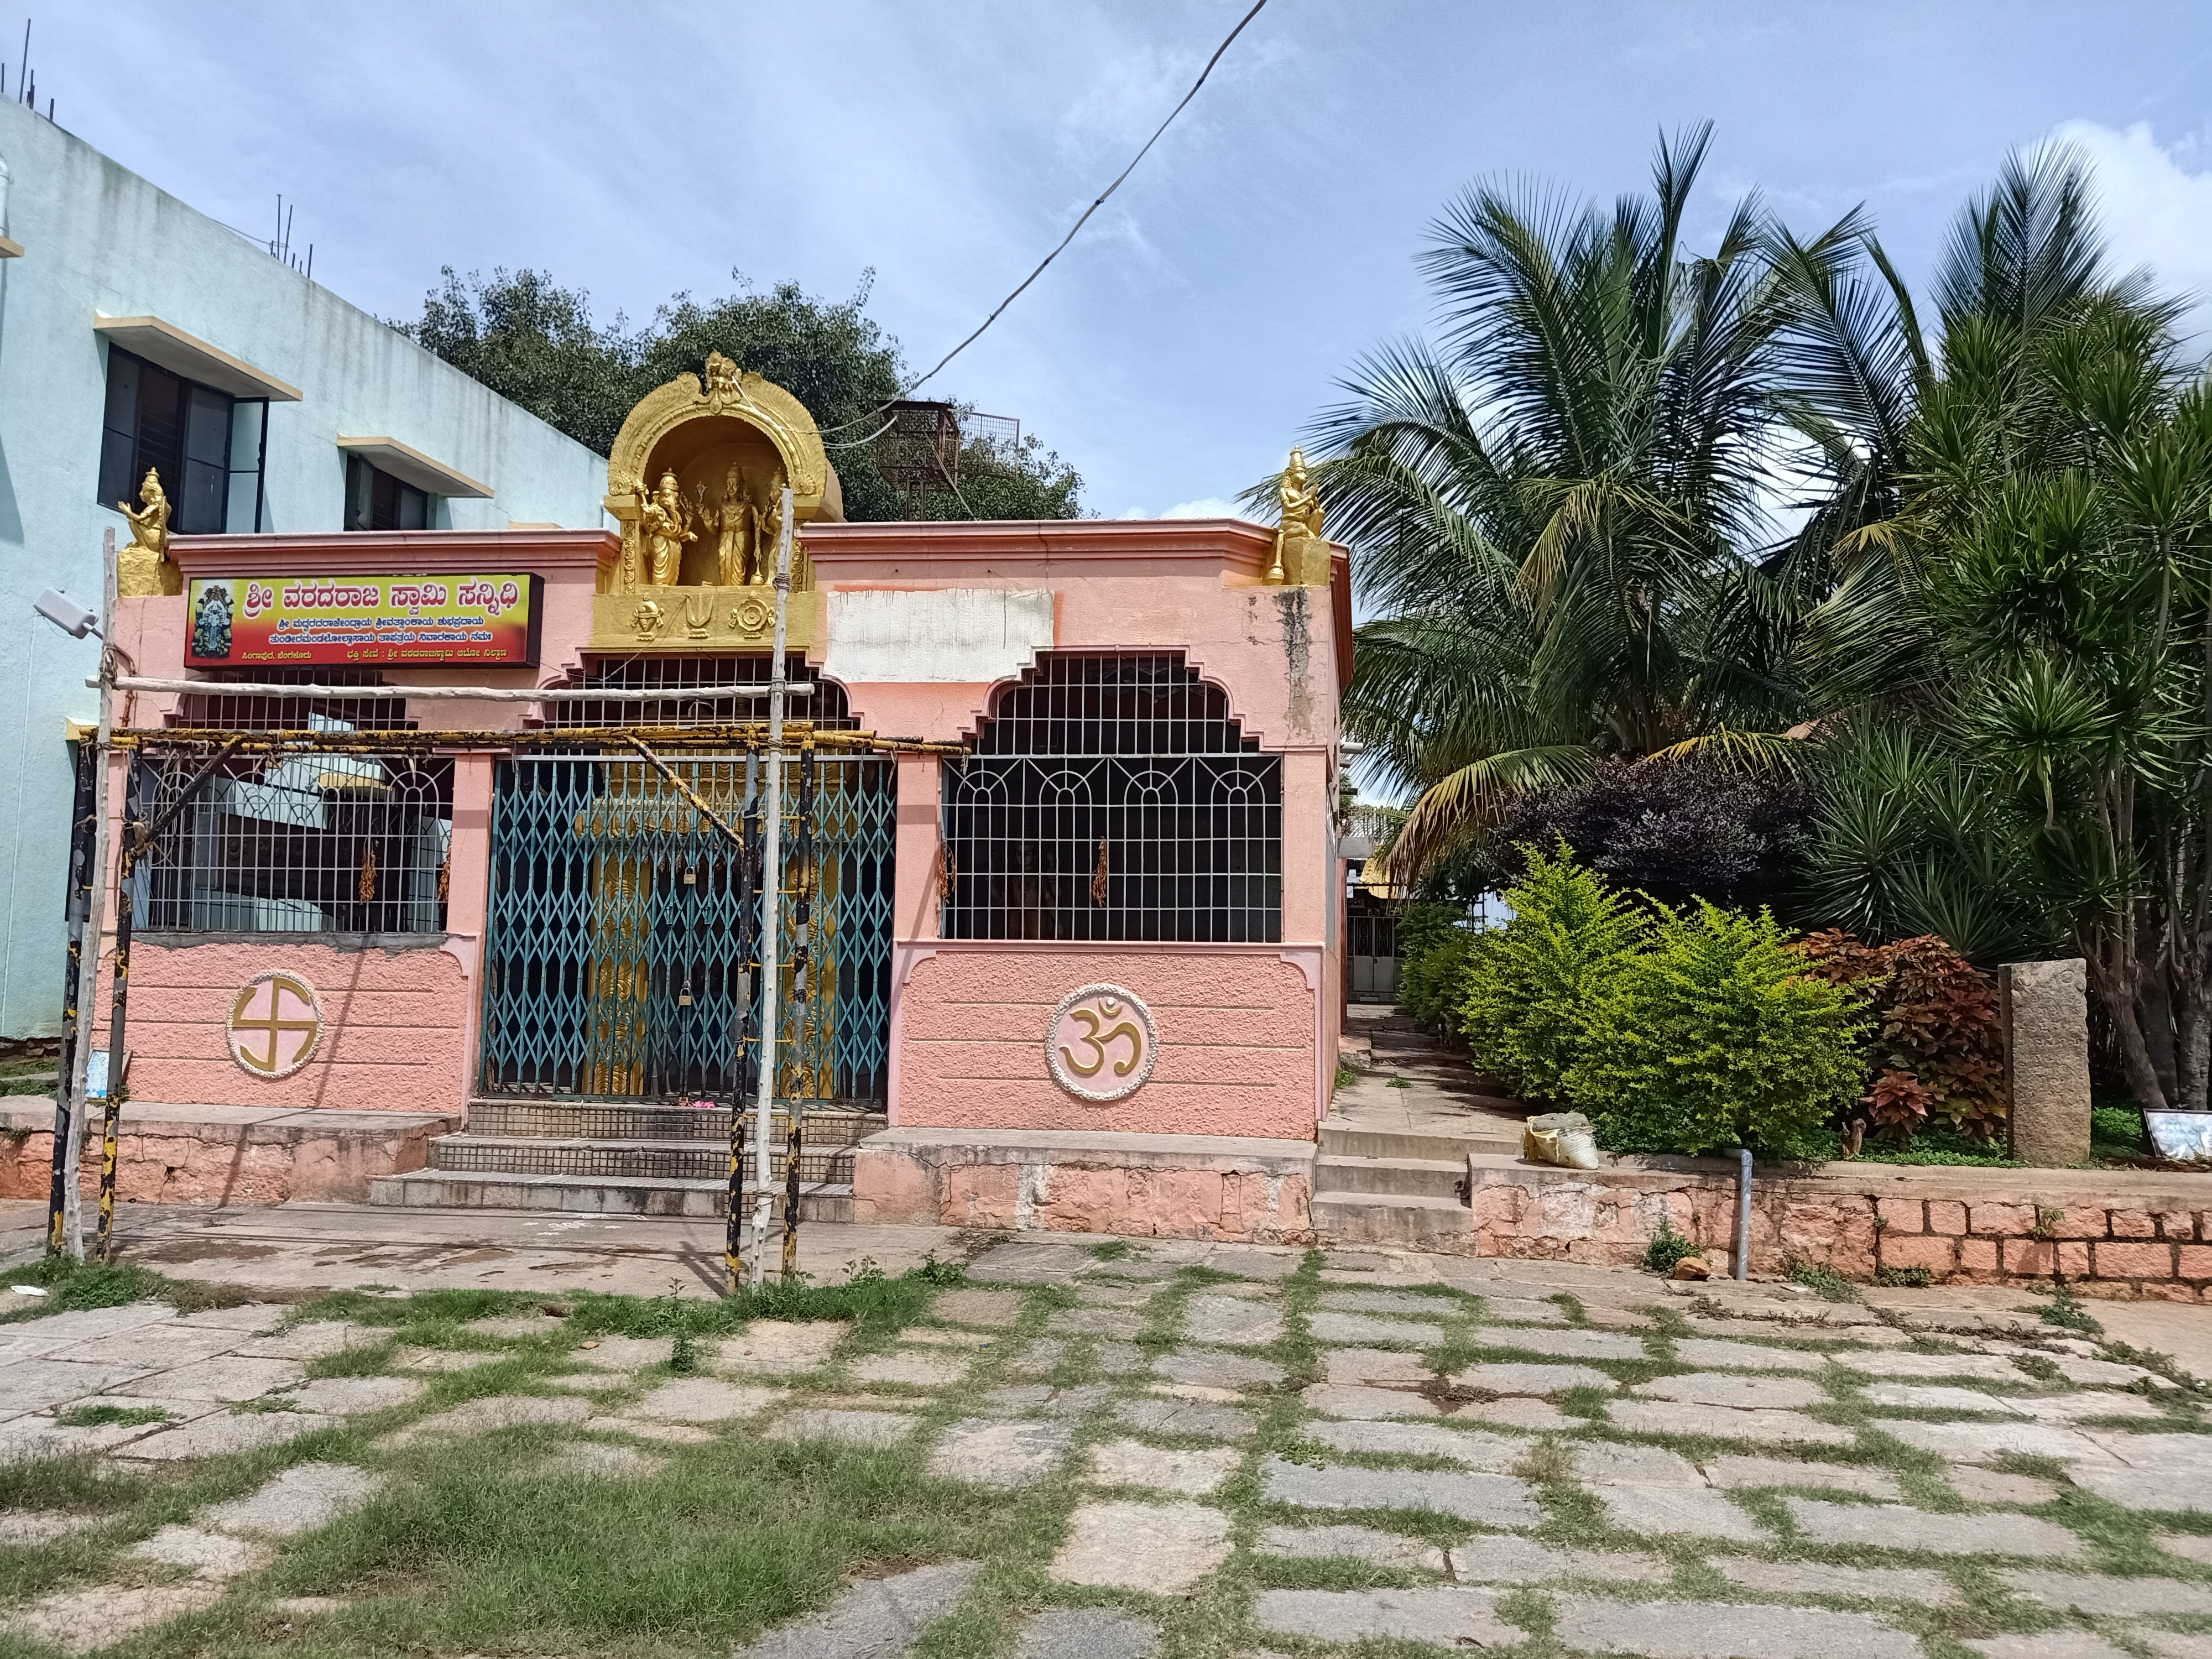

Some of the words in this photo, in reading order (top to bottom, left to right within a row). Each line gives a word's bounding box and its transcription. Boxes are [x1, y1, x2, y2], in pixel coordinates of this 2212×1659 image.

[242, 576, 277, 621] ಶ್ರೀ
[282, 576, 382, 611] ವರದರಾಜ
[388, 578, 452, 617] ಸ್ವಾಮಿ
[454, 573, 520, 618] ಸನ್ನಿಧ
[275, 617, 290, 634] ಶ್ರೀ
[291, 614, 374, 634] ಮದ್ವರದರಾಜೀಂದ್ರಾಯ
[370, 615, 434, 632] ಶ್ರೀವತ್ಸಾಂಕಾಯ
[434, 614, 487, 630] ಶುಭಪ್ರದಾಯ
[267, 630, 378, 649] ತುಂಹೀರಮಂಡಲೋಲ್ಲಾಸಾಯ
[376, 629, 417, 646] ತಾಪತ್ರಯ
[415, 629, 468, 644] ನಿವಾರಕಾಯ
[467, 627, 493, 644] ನಮಃ
[241, 648, 276, 662] ಸಿಂಗಾಪುರ
[274, 646, 314, 663] ಬೆಂಗಳೂರು
[342, 646, 361, 664] ಭಕ್ತಿ
[358, 645, 381, 660] ಸೇವ
[385, 646, 400, 664] ಶ್ರೀ
[399, 645, 455, 664] ವರದರಾಜಸ್ವಾಟು
[453, 643, 482, 659] ಆಟೋ
[481, 643, 509, 664] ನಿಲ್ದಾಣ